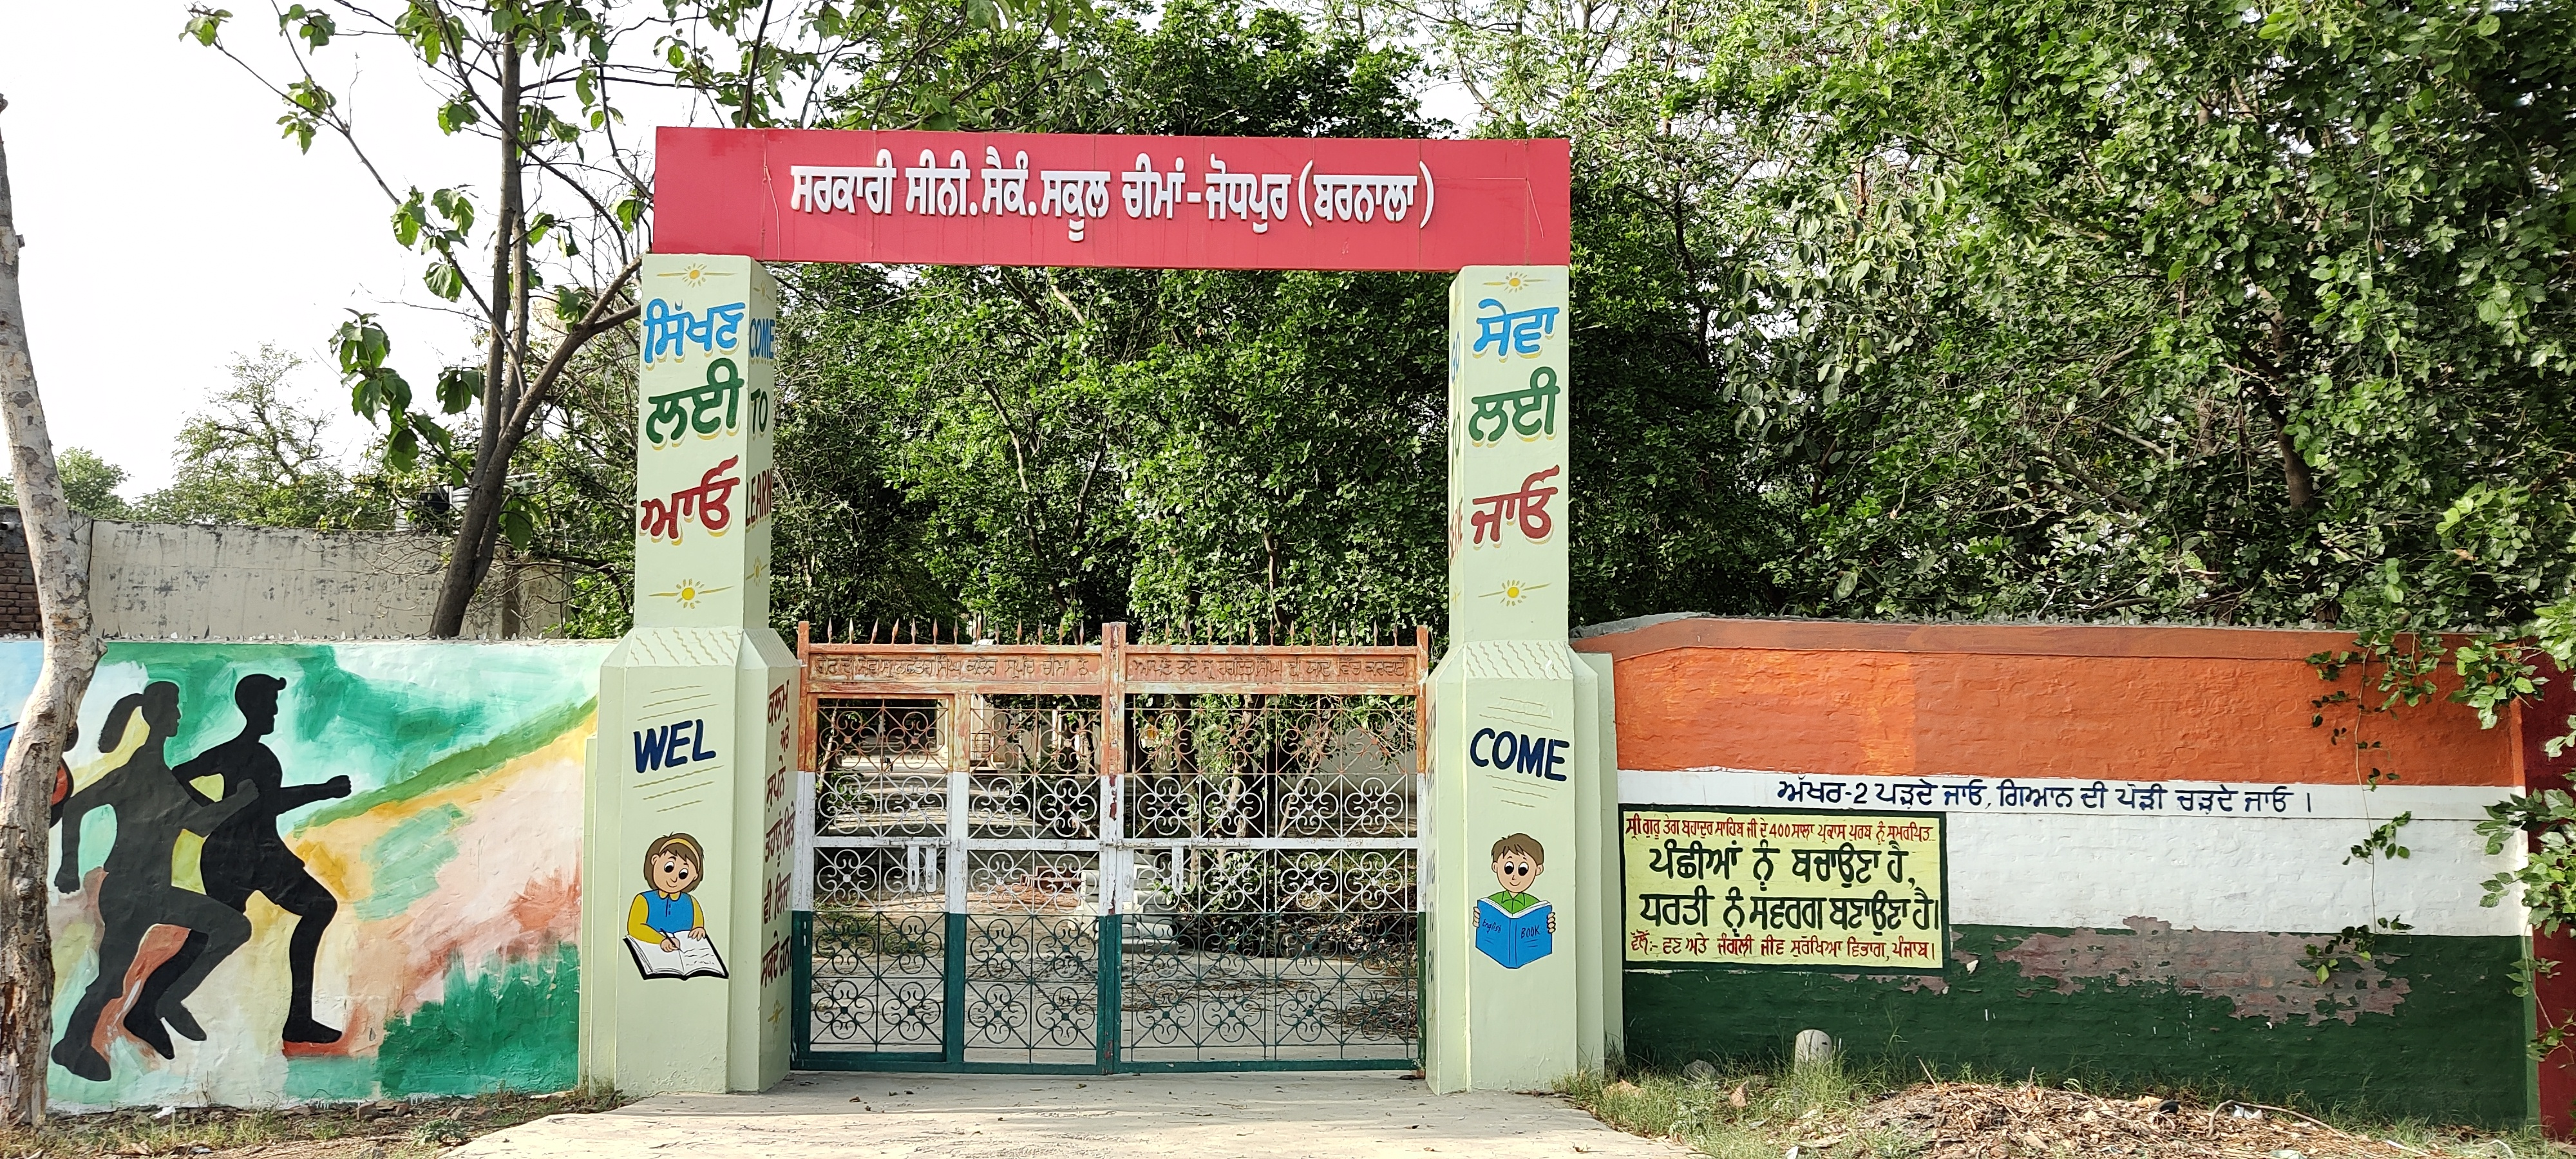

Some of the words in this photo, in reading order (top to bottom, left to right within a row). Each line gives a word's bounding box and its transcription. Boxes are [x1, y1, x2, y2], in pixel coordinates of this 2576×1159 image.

[780, 142, 898, 221] ਸਰਕਾਰੀ
[899, 143, 981, 223] ਸੀਨੀ.
[974, 137, 1037, 223] ਸੈਕੰ.
[1034, 161, 1115, 247] ਸਕੂਲ
[1114, 146, 1296, 245] ਚੀਮਾਂ-ਜੋਧਪੁਰ
[1307, 165, 1423, 224] ਬਰਨਾਲਾ
[639, 292, 748, 373] ਸਿੱਖਣ
[747, 312, 777, 369] COME
[1466, 294, 1560, 359] ਸੇਵਾ
[635, 356, 749, 450] ਲਈ
[745, 382, 772, 444] TO
[1458, 362, 1562, 449] ਲਈ
[633, 449, 744, 554] ਆਓ
[742, 462, 776, 537] LEARN
[1465, 458, 1564, 557] ਜਾਓ
[766, 676, 796, 728] ਕਲਮ
[627, 713, 720, 777] WEL
[775, 715, 796, 755] ਅਤੇ
[1463, 720, 1573, 789] COME
[764, 753, 792, 816] ਸ਼ਪਨੇ
[1774, 773, 1871, 810] ਅੱਖਰ-2
[1872, 776, 1940, 811] ਪੜ੍ਹਦੇ
[1939, 777, 1993, 809] ਜਾਓ
[1993, 777, 2079, 811] ਗਿਆਨ
[2076, 778, 2113, 812] ਦੀ
[2114, 780, 2171, 814] ਪੇੜੀ
[2172, 781, 2243, 817] ਚੜਦੇ
[2242, 785, 2300, 817] ਜਾਓ
[760, 799, 797, 870] ਤਹਾਨੂੰ ਕਿਤੇ
[1624, 812, 1644, 843] ਸ੍ਰੀ
[1662, 811, 1681, 838] ਤੇਗ
[1680, 816, 1714, 842] ਬਹਾਦੁਰ
[1714, 815, 1746, 840] ਸਾਹਿਬ
[1746, 814, 1760, 840] ਜੀ
[1758, 814, 1770, 838] ਦੇ
[1768, 818, 1792, 840] 400
[1790, 821, 1816, 840] ਸਲਾ
[1813, 821, 1850, 845] ਪ੍ਰਕਾਸ
[1847, 820, 1874, 845] ਪੁਰਬ
[1873, 818, 1888, 847] ਨੂੰ
[1888, 819, 1935, 844] ਸਮਰਪਿਤ
[1640, 838, 1748, 885] ਪੰਛੀਆ
[1748, 838, 1783, 893] ਨੂੰ
[1786, 841, 1884, 892] ਬਚਾਉਣਾ
[1880, 838, 1914, 888] ਹੈ
[761, 872, 774, 926] ਵੀ
[760, 926, 782, 993] ਸਕਦੇ
[772, 870, 794, 924] ਲਿਜਾ
[1477, 915, 1507, 936] English
[1517, 922, 1543, 941] BOOK
[1628, 924, 1653, 959] ਵੱਲੇਂ
[1658, 934, 1683, 957] ਵਣ
[1633, 881, 1719, 930] ਧਰਤੀ
[1683, 929, 1712, 957] ਅਤੇ
[1718, 883, 1747, 937] ਨੂੰ
[1713, 930, 1756, 961] ਜੰਗਲੀ
[1757, 932, 1788, 960] ਜੀਵ
[1747, 893, 1830, 934] ਸਵਰਗ
[1786, 934, 1845, 961] ਸੁਰੱਖਿਆ
[1844, 933, 1889, 962] ਵਿਭਾਗ
[1827, 886, 1913, 938] ਬਣਾਉਣਾ
[1890, 935, 1932, 963] ਪੰਜਾਬ
[1910, 882, 1935, 935] ਹੈ